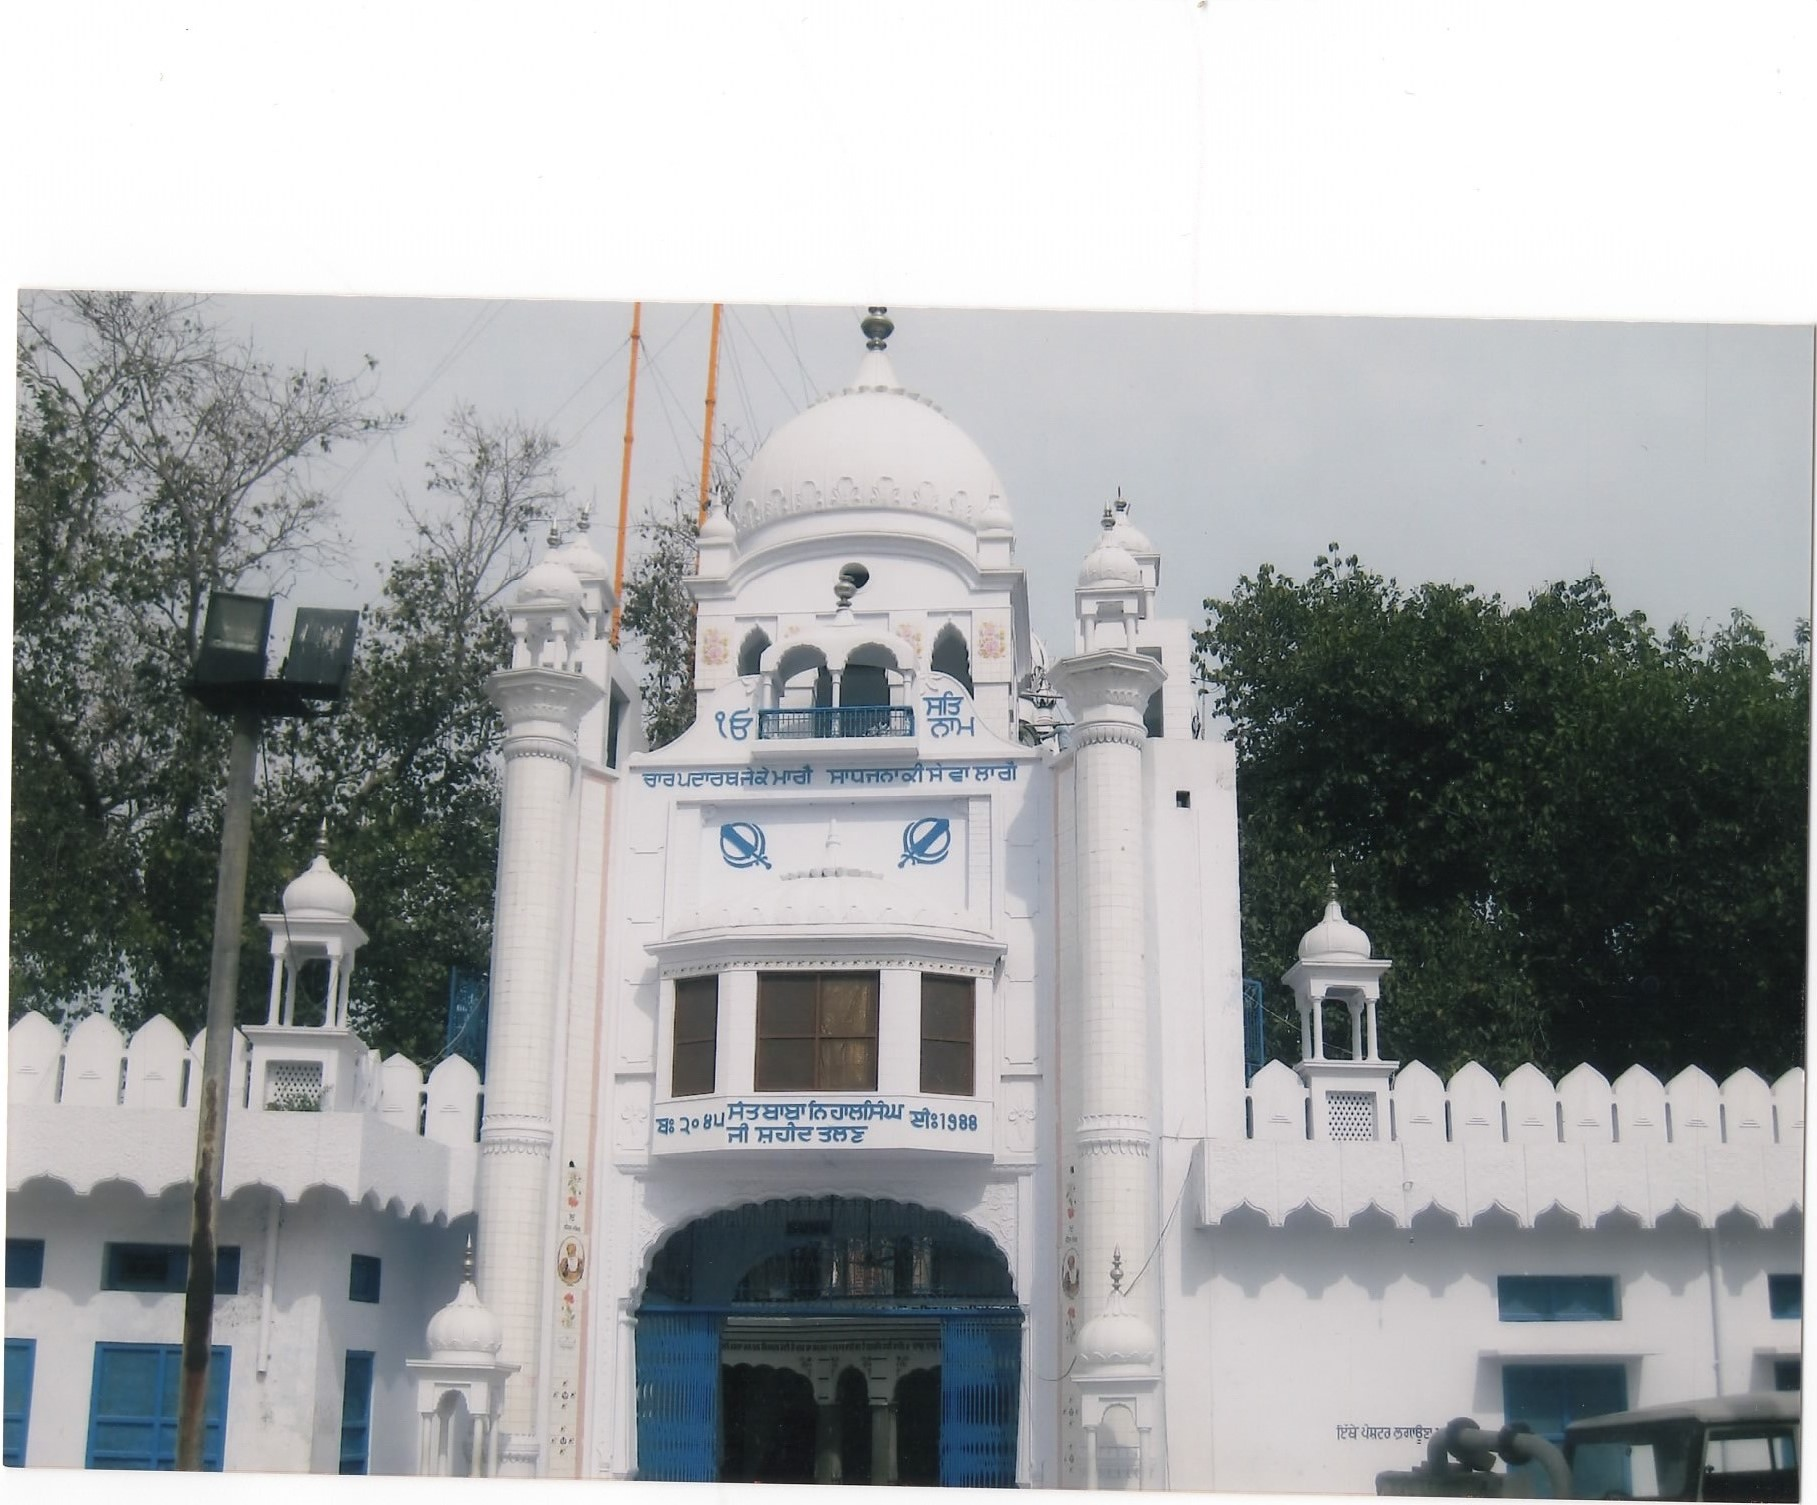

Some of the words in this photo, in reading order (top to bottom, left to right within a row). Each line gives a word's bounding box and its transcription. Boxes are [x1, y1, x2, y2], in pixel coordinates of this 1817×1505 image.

[919, 687, 970, 715] ਸਤਿ
[707, 696, 758, 747] ੧ਓ
[921, 713, 977, 743] ਨਾਮ
[638, 769, 677, 794] ਰਾਰ
[676, 766, 741, 796] ਪਦਾਰਥ
[739, 764, 771, 791] ਜੇਕੇ
[770, 758, 819, 791] ਮਾਗੈ
[821, 760, 927, 789] ਸਾਧਜਨਾਕੀ
[925, 759, 972, 786] ਸੇਵਾ
[971, 757, 1020, 789] ਲਾਗੈ
[652, 1107, 677, 1139] ਬਃ
[676, 1108, 727, 1139] ੨੦੪੫
[722, 1121, 753, 1147] ਜੀ
[723, 1098, 807, 1125] ਸੰਤਬਾਬਾ
[751, 1121, 815, 1148] ਸ਼ਹੀਦ
[813, 1123, 871, 1146] ਤਲਣ
[807, 1097, 910, 1125] ਨਿਹਾਲਸਿੰਘ
[906, 1104, 939, 1135] ਈ:
[939, 1109, 981, 1136] 1988